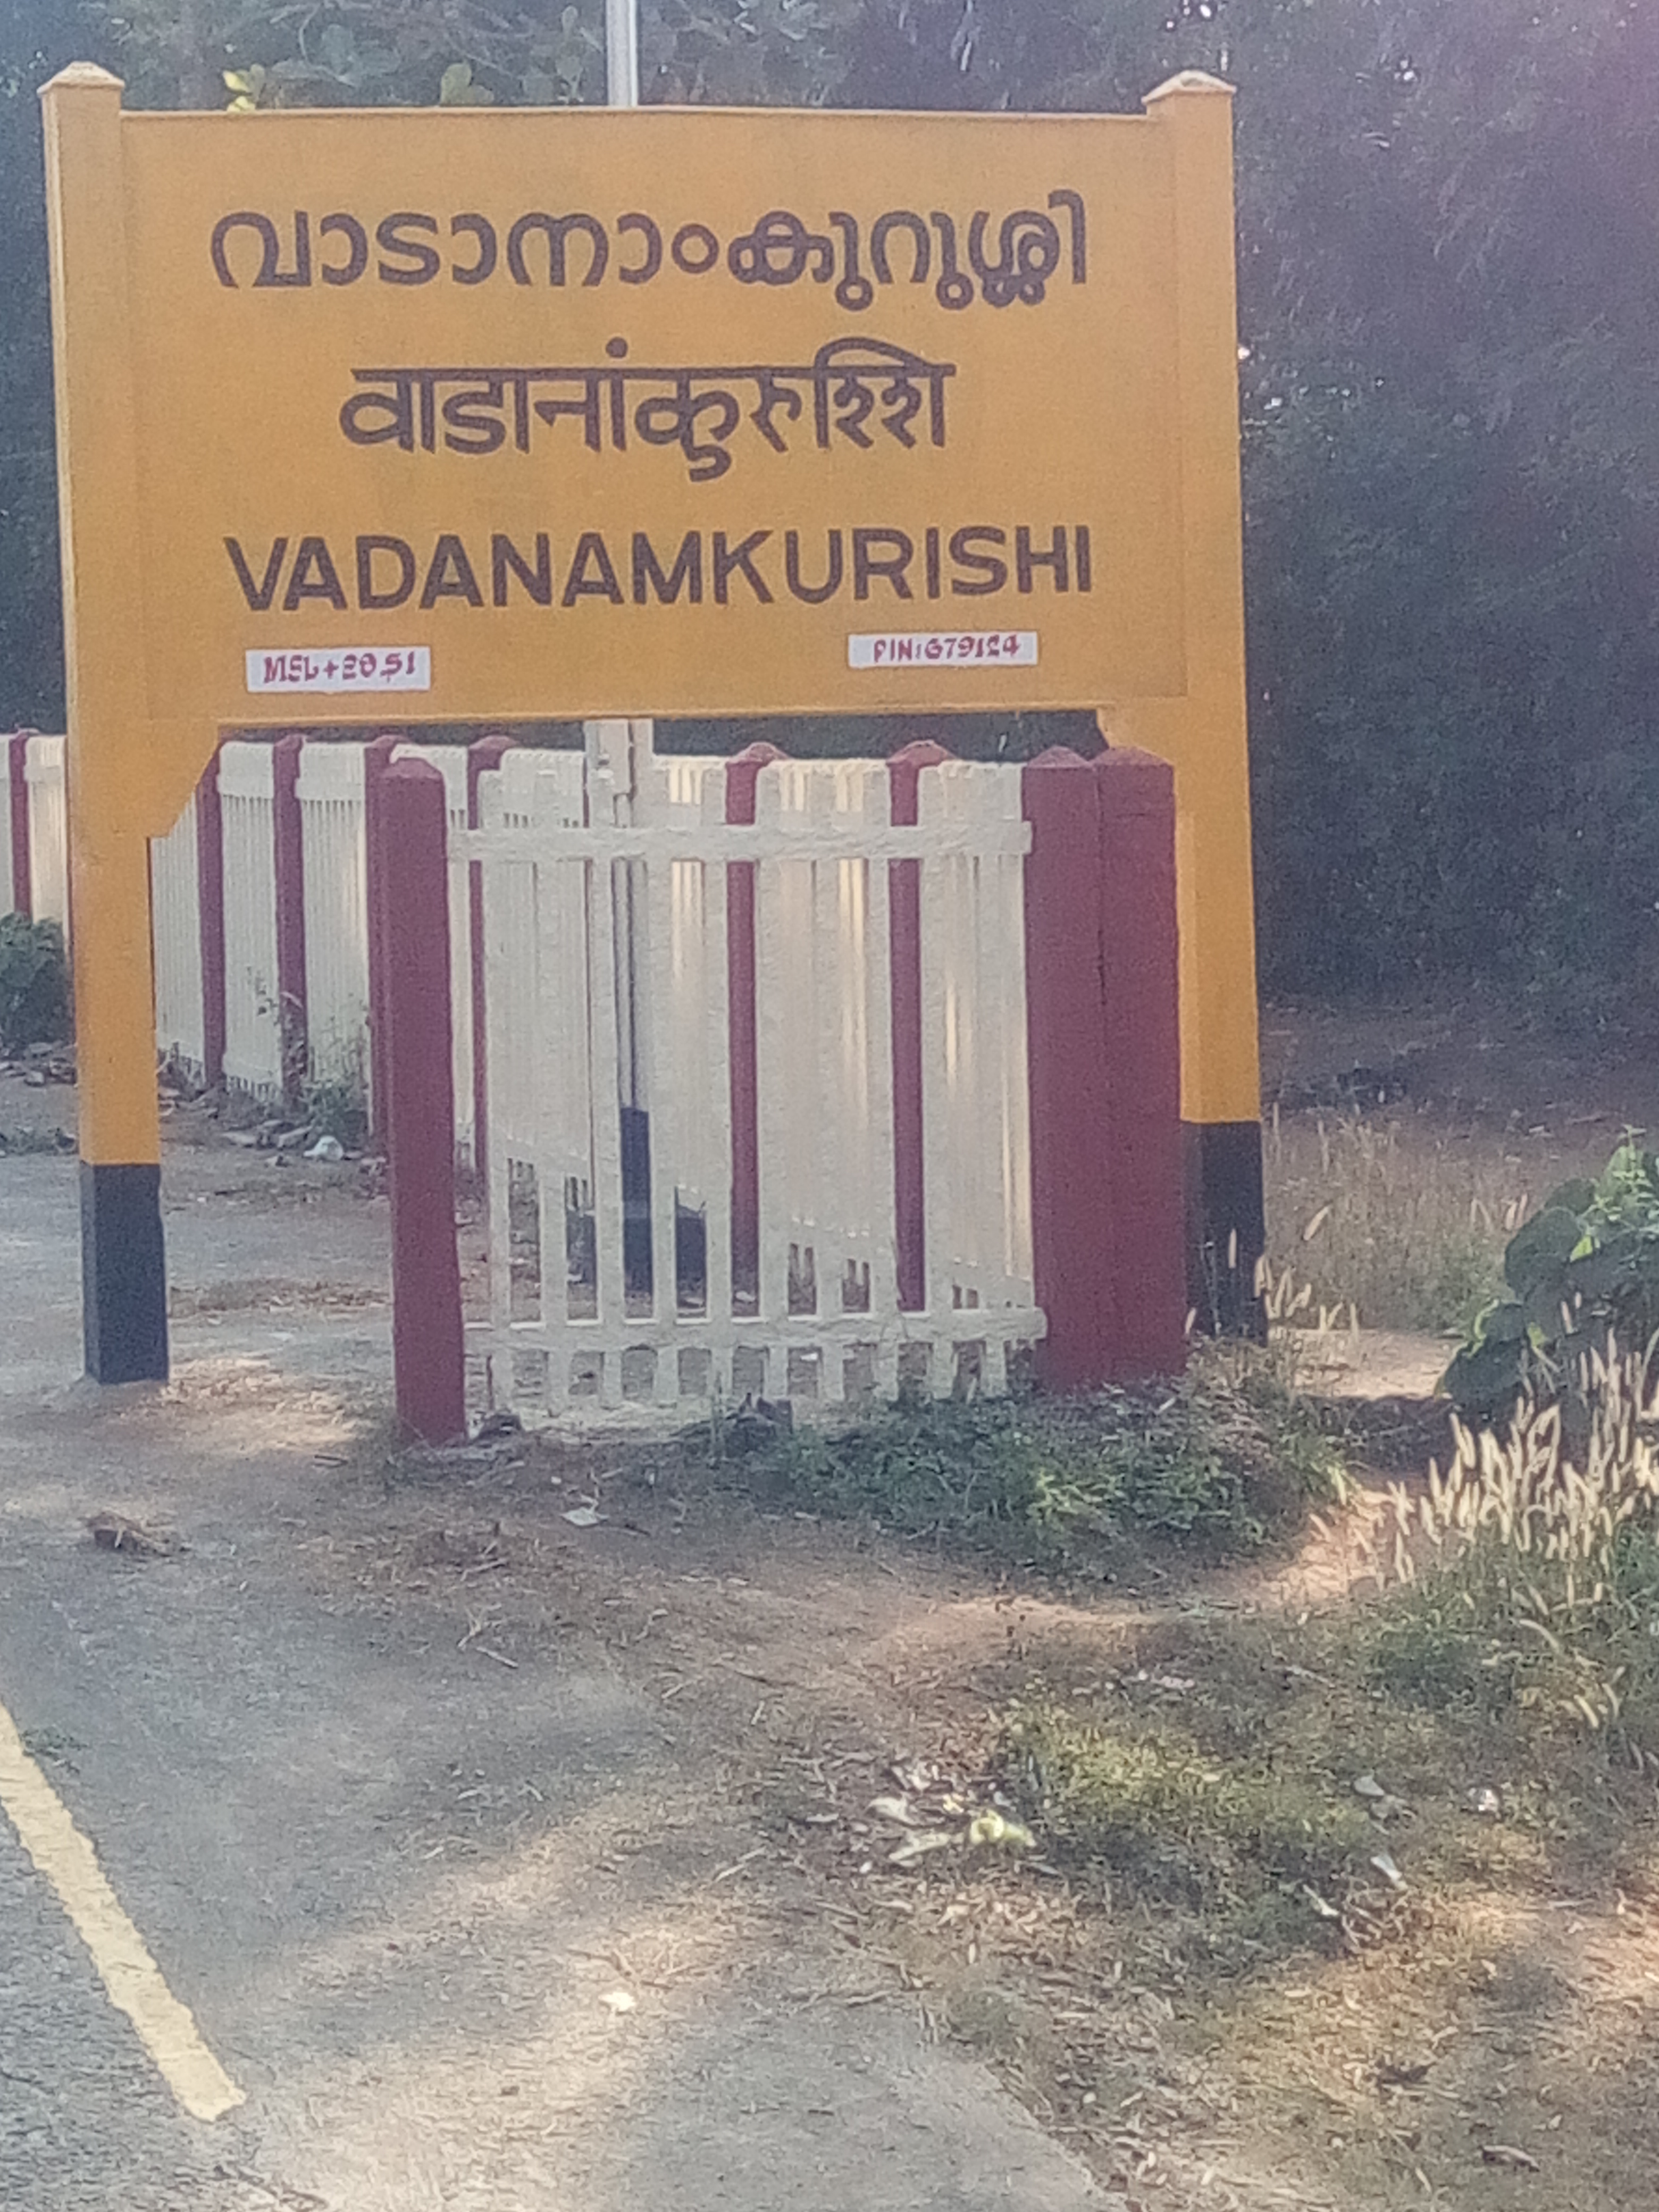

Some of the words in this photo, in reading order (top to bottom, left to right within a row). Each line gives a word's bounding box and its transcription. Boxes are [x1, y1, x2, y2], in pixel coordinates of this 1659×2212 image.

[200, 178, 1093, 317] വാടാനാംകുറുശ്ശി
[331, 326, 959, 483] वाडानांकुरुश्शि
[207, 514, 1096, 611] VADANAMKURISHI
[253, 649, 422, 689] MSL+2051
[868, 633, 1024, 667] PIN:679124